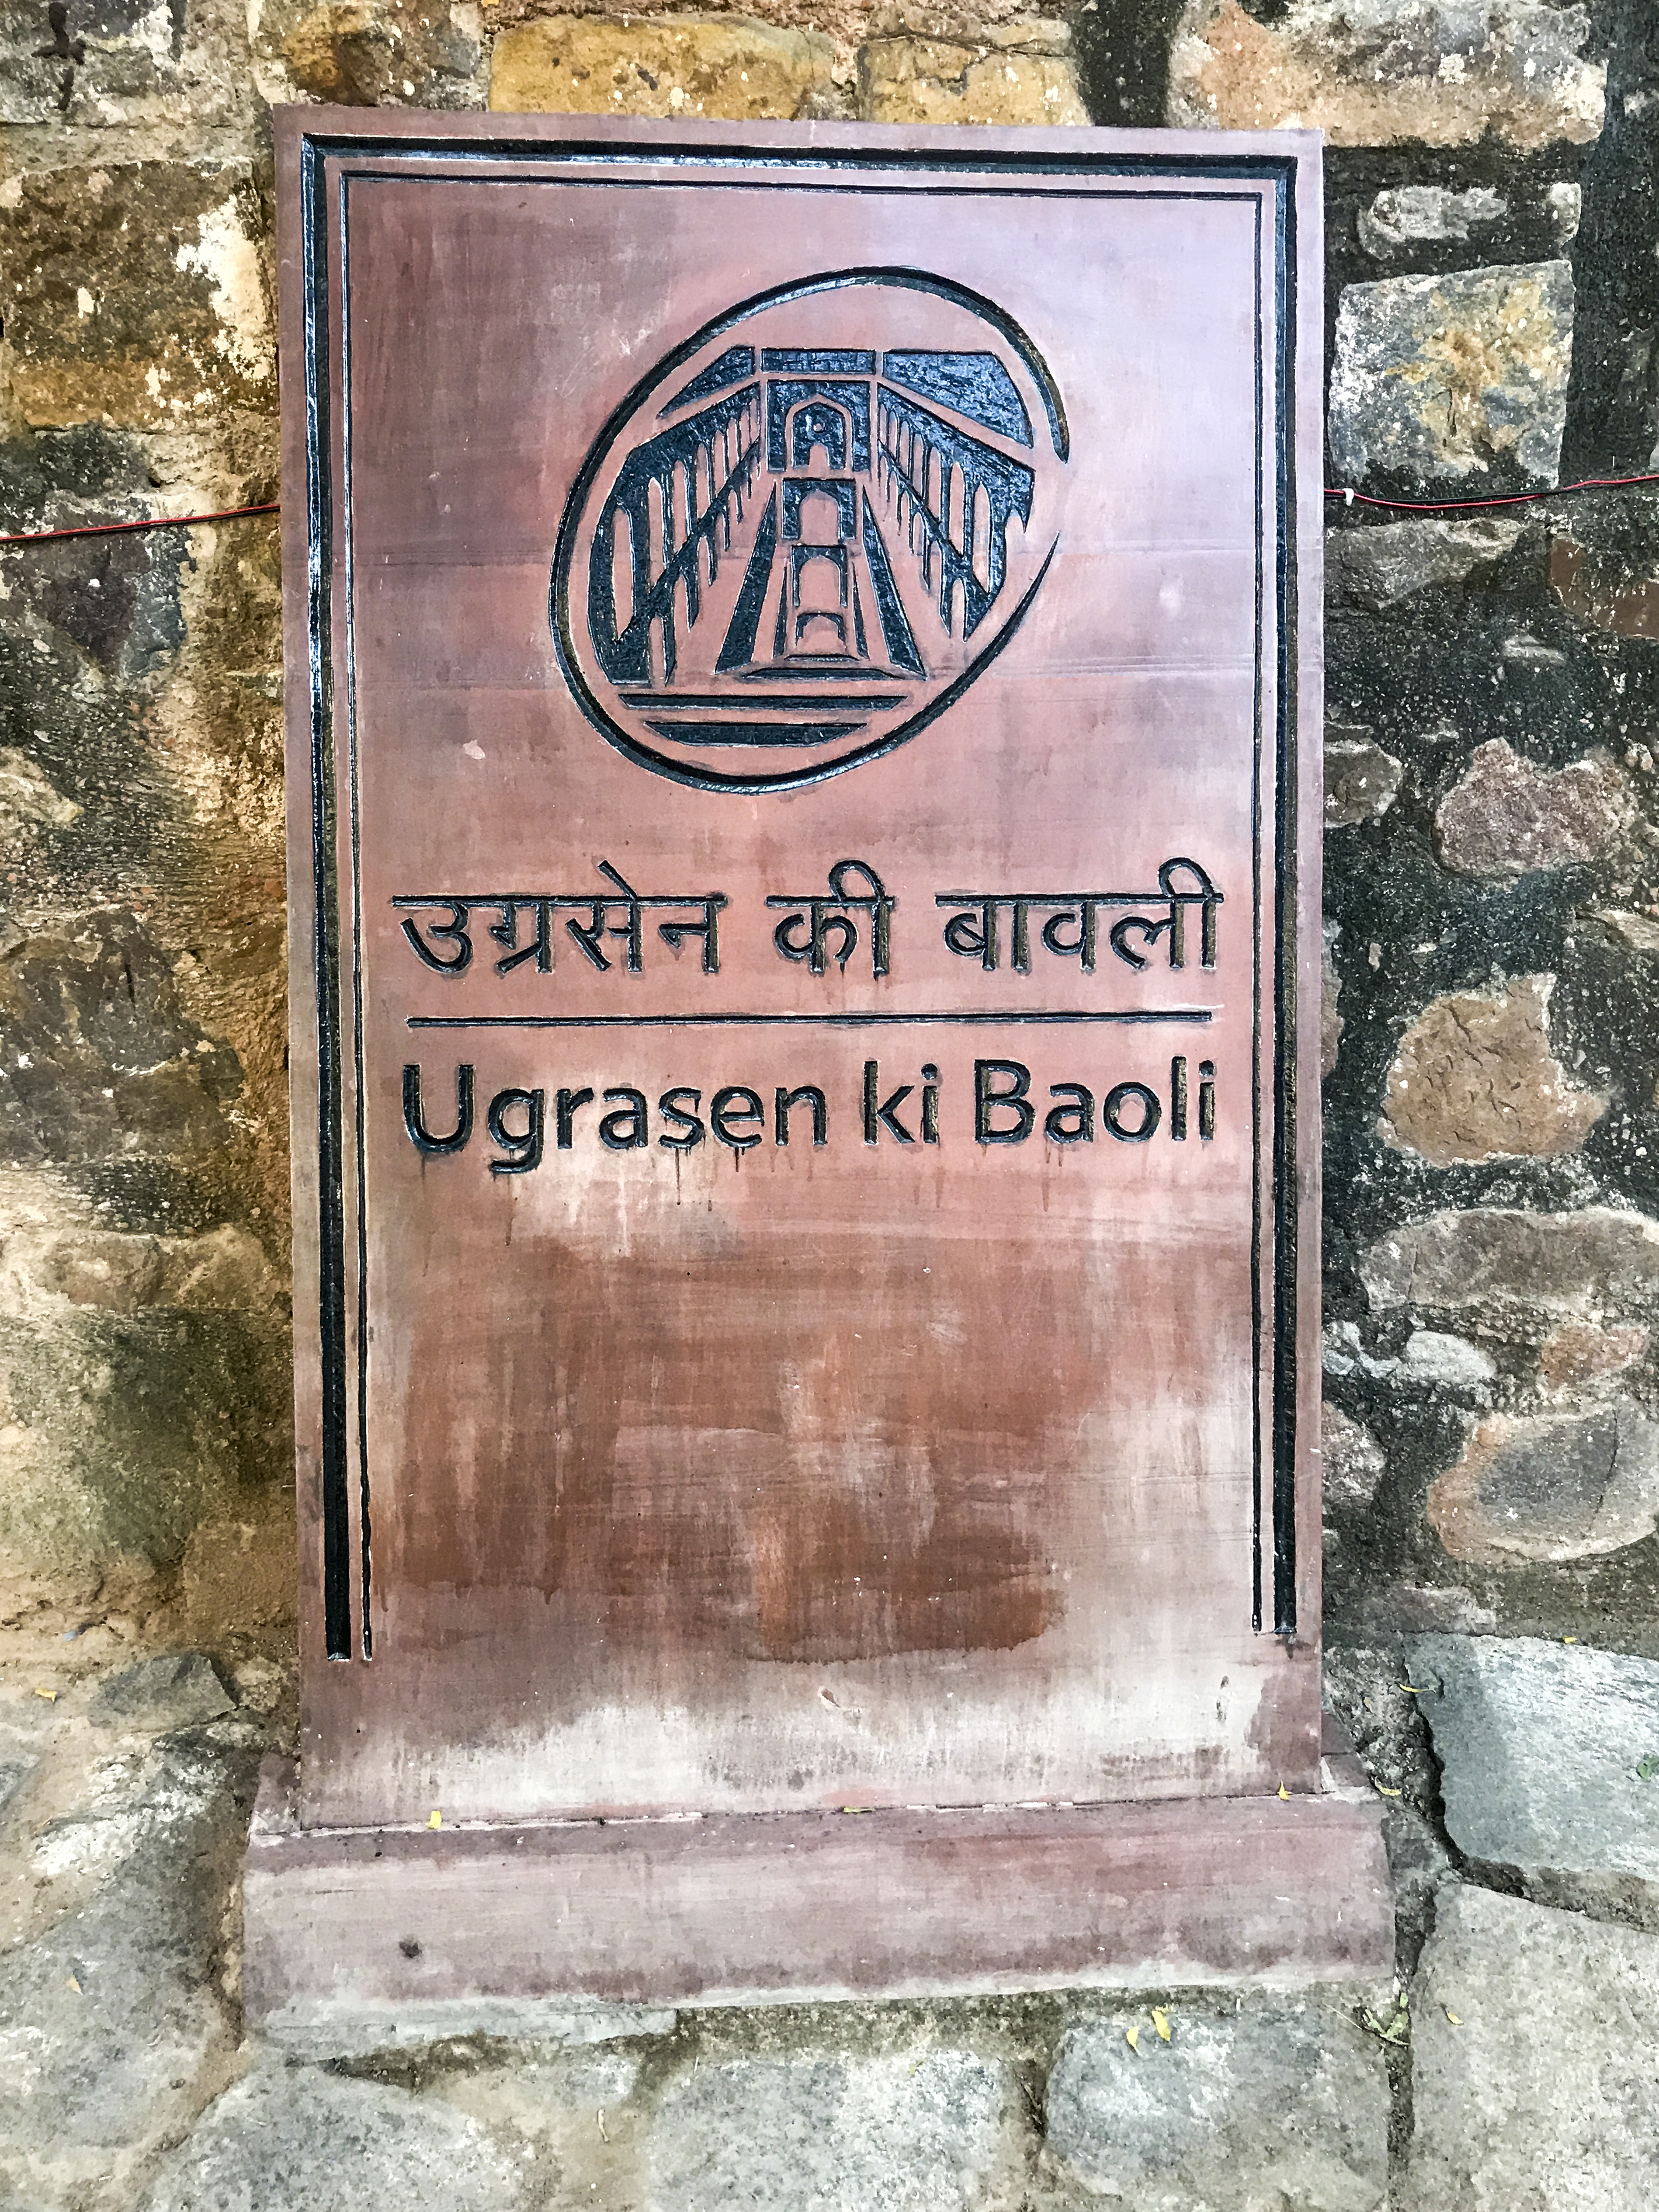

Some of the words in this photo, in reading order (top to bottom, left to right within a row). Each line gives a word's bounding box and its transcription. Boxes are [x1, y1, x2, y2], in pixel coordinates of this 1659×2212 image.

[390, 859, 730, 981] उग्रसेन
[746, 845, 908, 992] की
[926, 854, 1224, 984] बावली
[398, 1050, 833, 1192] Ugrasen
[848, 1048, 956, 1159] ki
[972, 1055, 1226, 1151] Baoli